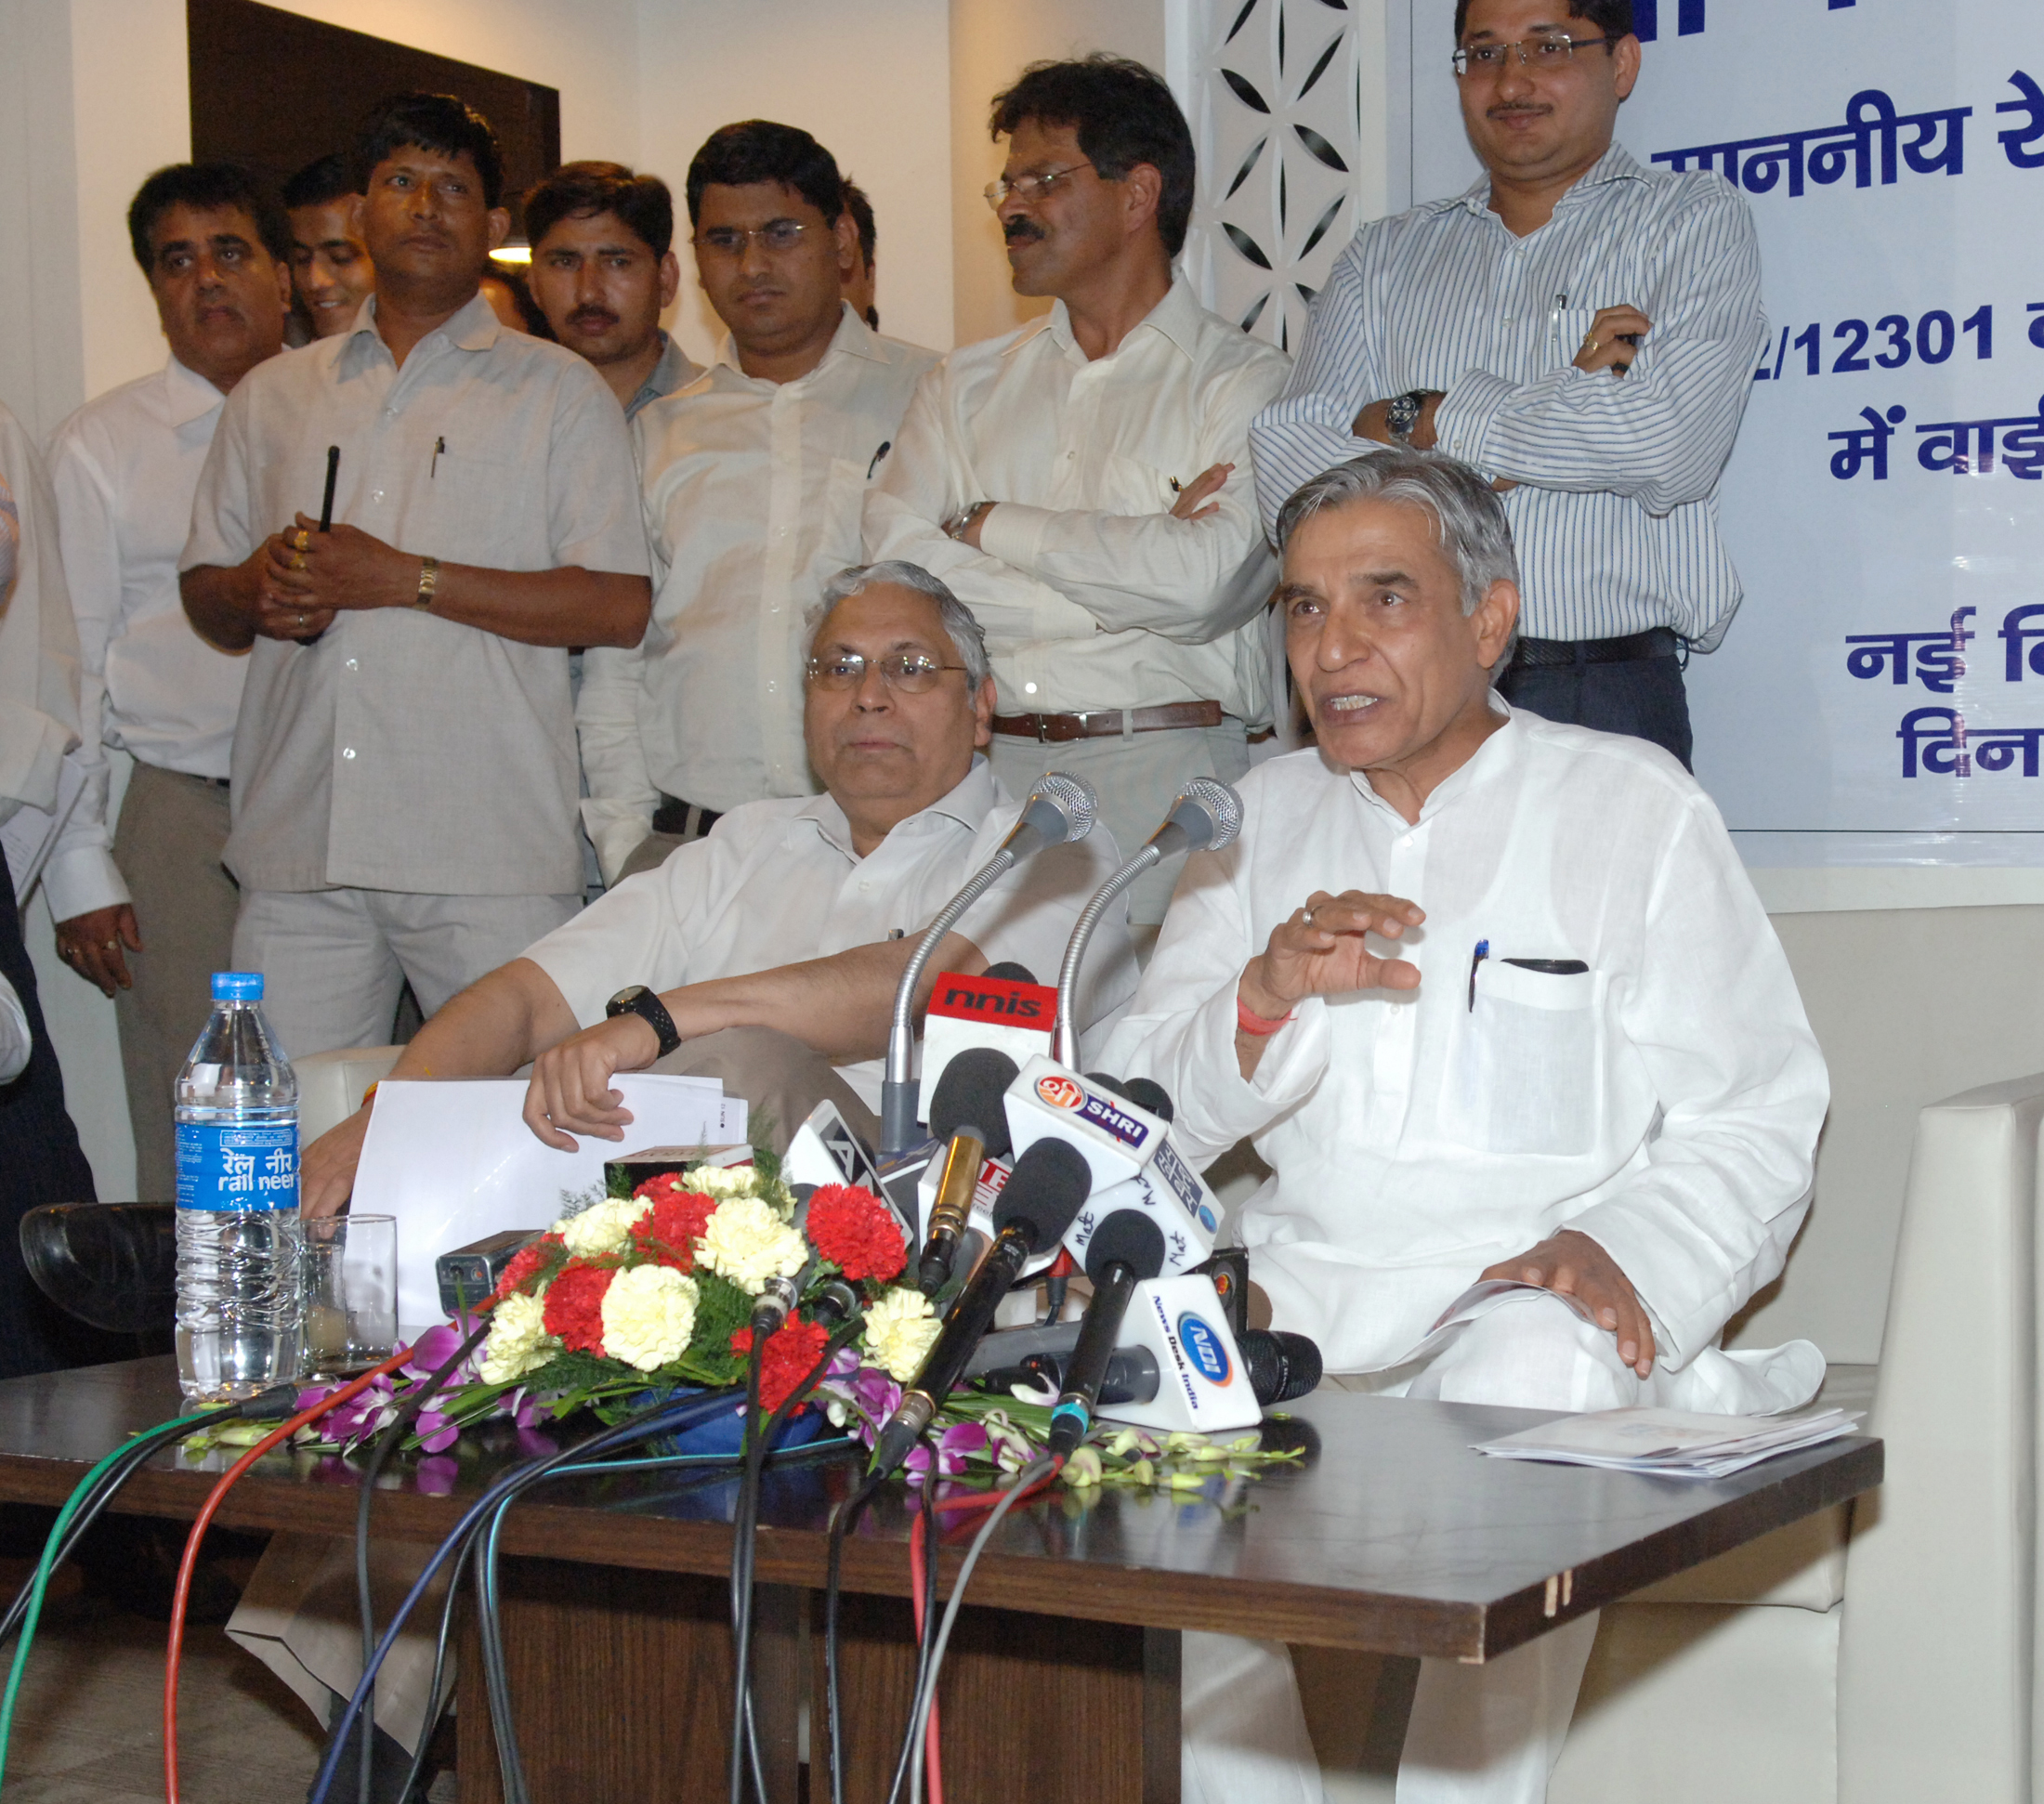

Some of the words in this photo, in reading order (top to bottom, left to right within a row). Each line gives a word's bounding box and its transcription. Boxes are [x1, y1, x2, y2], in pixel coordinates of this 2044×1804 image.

[1646, 80, 1979, 216] माननीय
[1793, 295, 2003, 386] 12301
[1827, 399, 1912, 490] में
[1906, 396, 2040, 490] वाइ
[1840, 600, 1981, 702] नईं
[1882, 693, 2040, 788] दिन
[937, 983, 1045, 1026] nnis
[1027, 1074, 1087, 1114] श्री
[1082, 1096, 1146, 1145] SHRI
[212, 1167, 256, 1198] rail
[208, 1141, 262, 1178] रेल
[247, 1169, 305, 1198] neer
[256, 1137, 301, 1180] नीर
[1153, 1141, 1206, 1215] राष्ट्र खबर
[1182, 1317, 1230, 1382] NOI